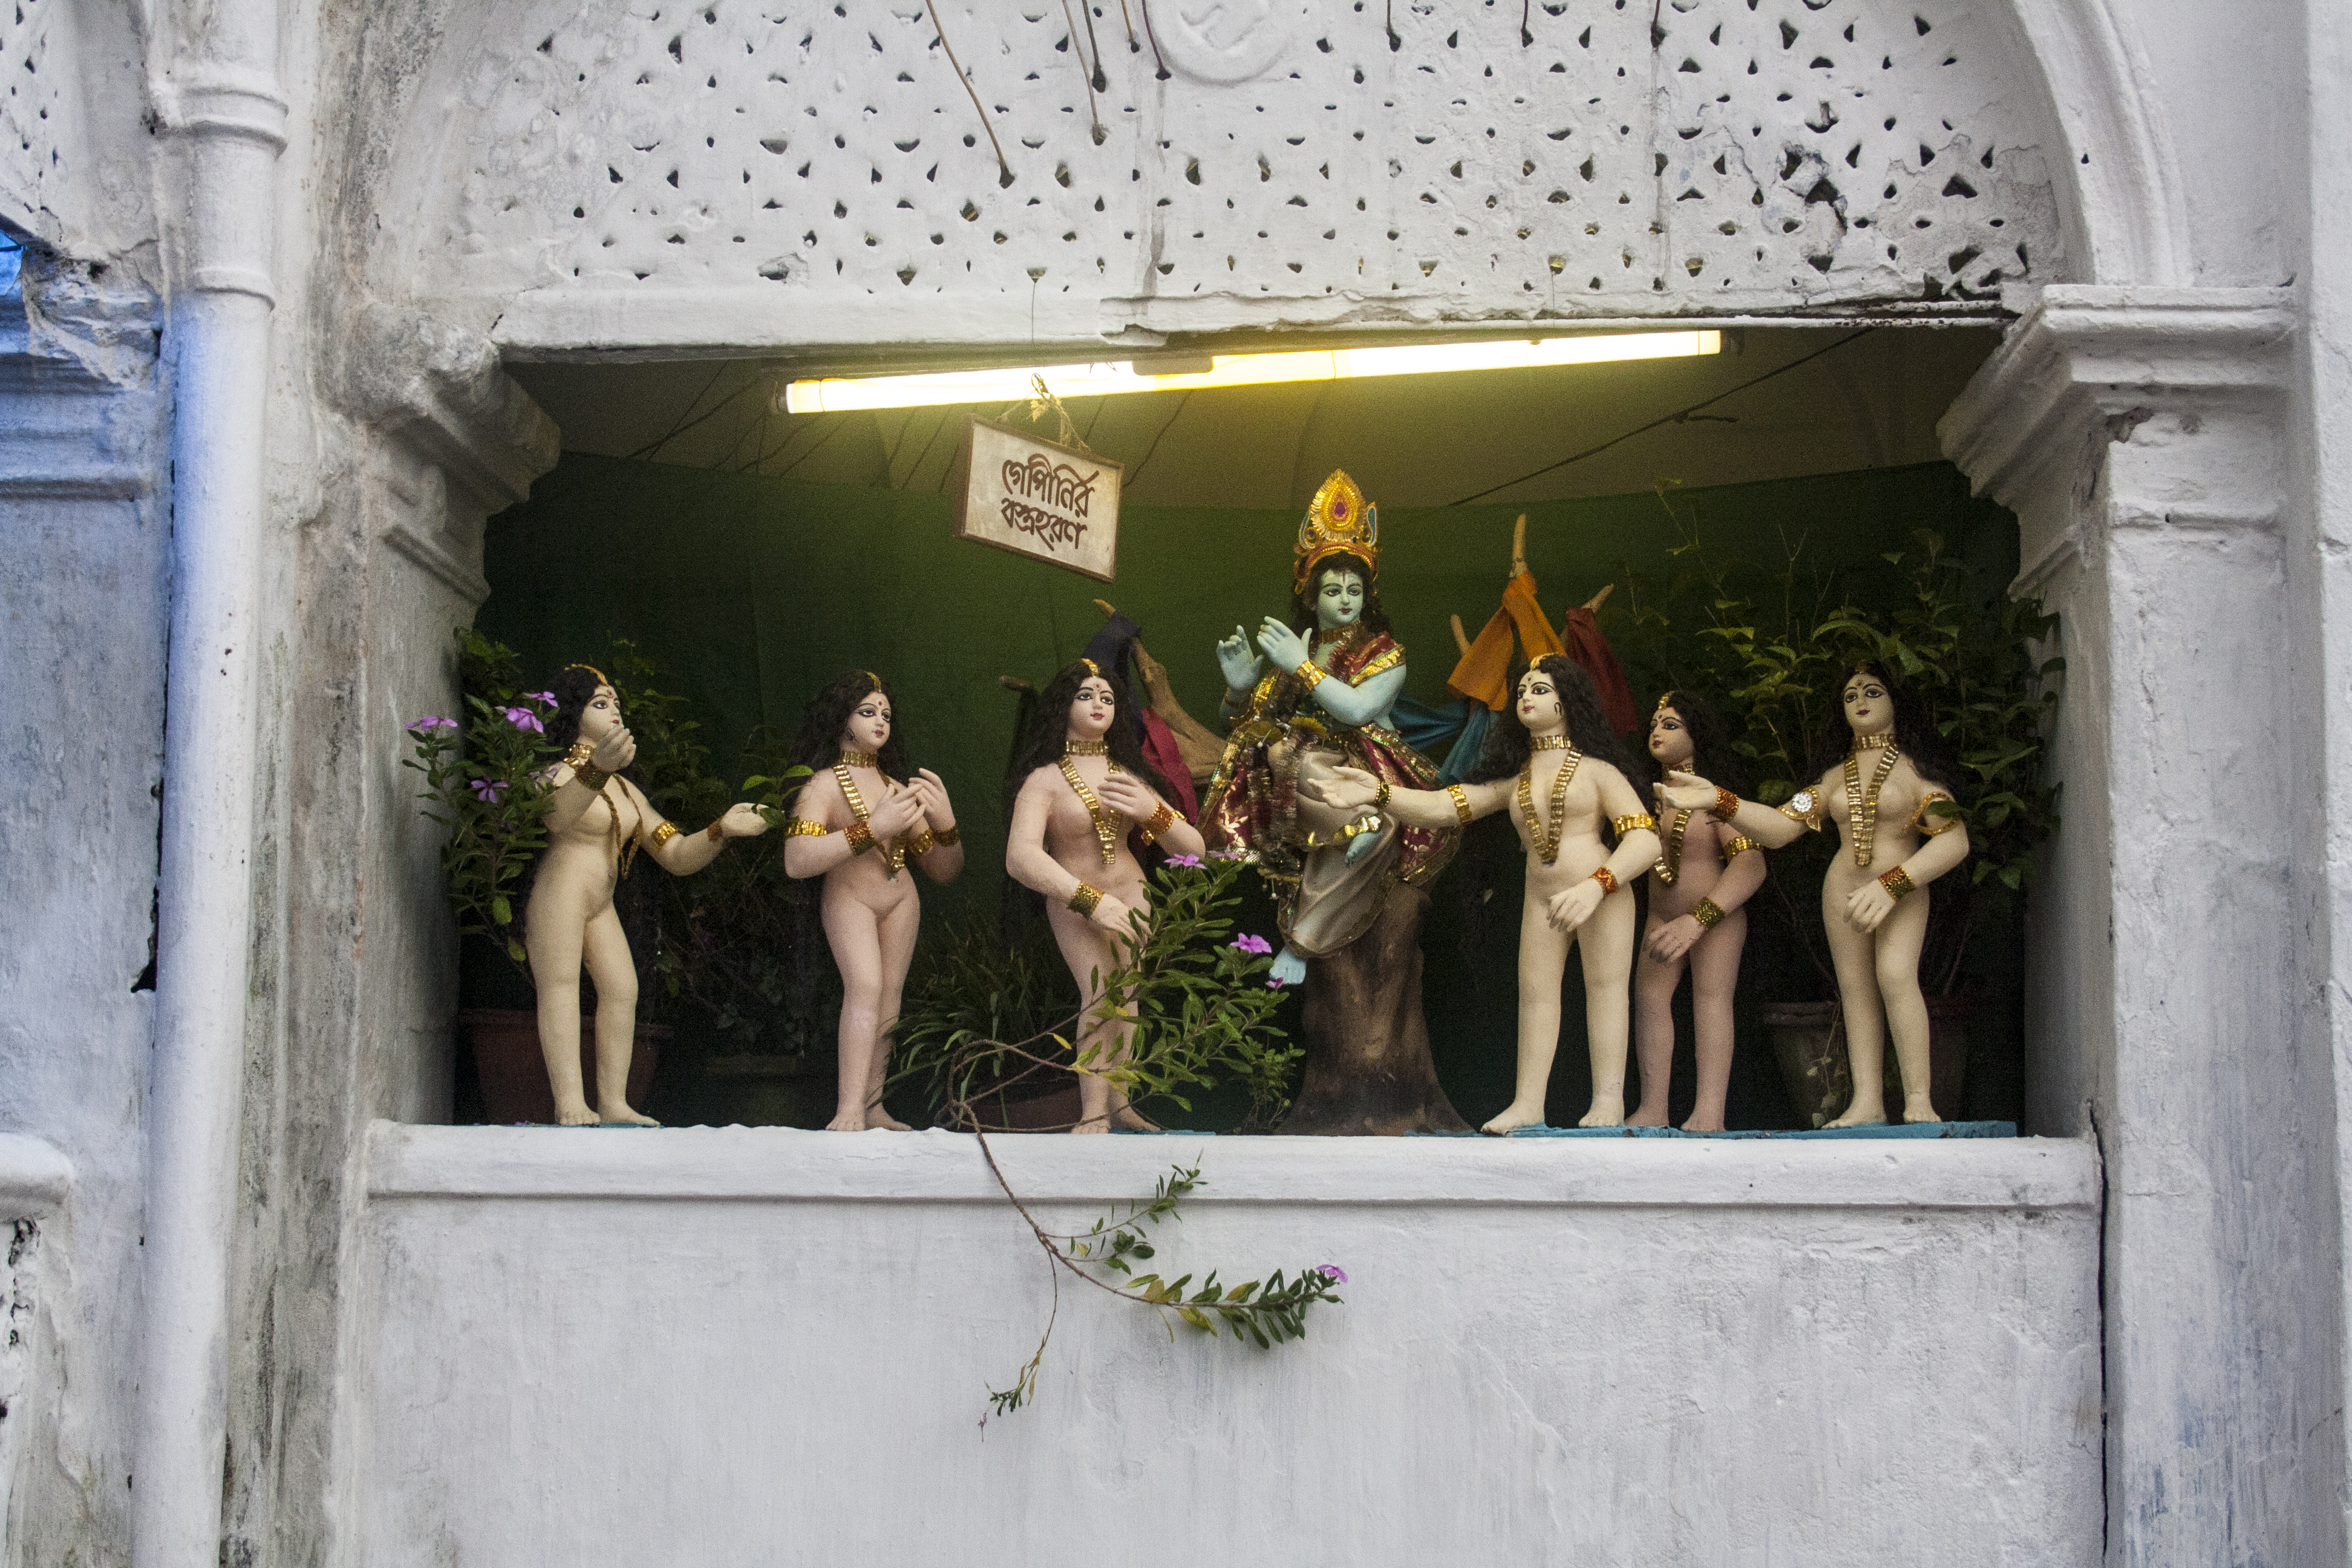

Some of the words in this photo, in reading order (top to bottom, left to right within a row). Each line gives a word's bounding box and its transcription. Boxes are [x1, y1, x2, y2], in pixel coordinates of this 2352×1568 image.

[991, 448, 1105, 522] গোপীনির
[997, 495, 1093, 555] থস্ত্রহরণ